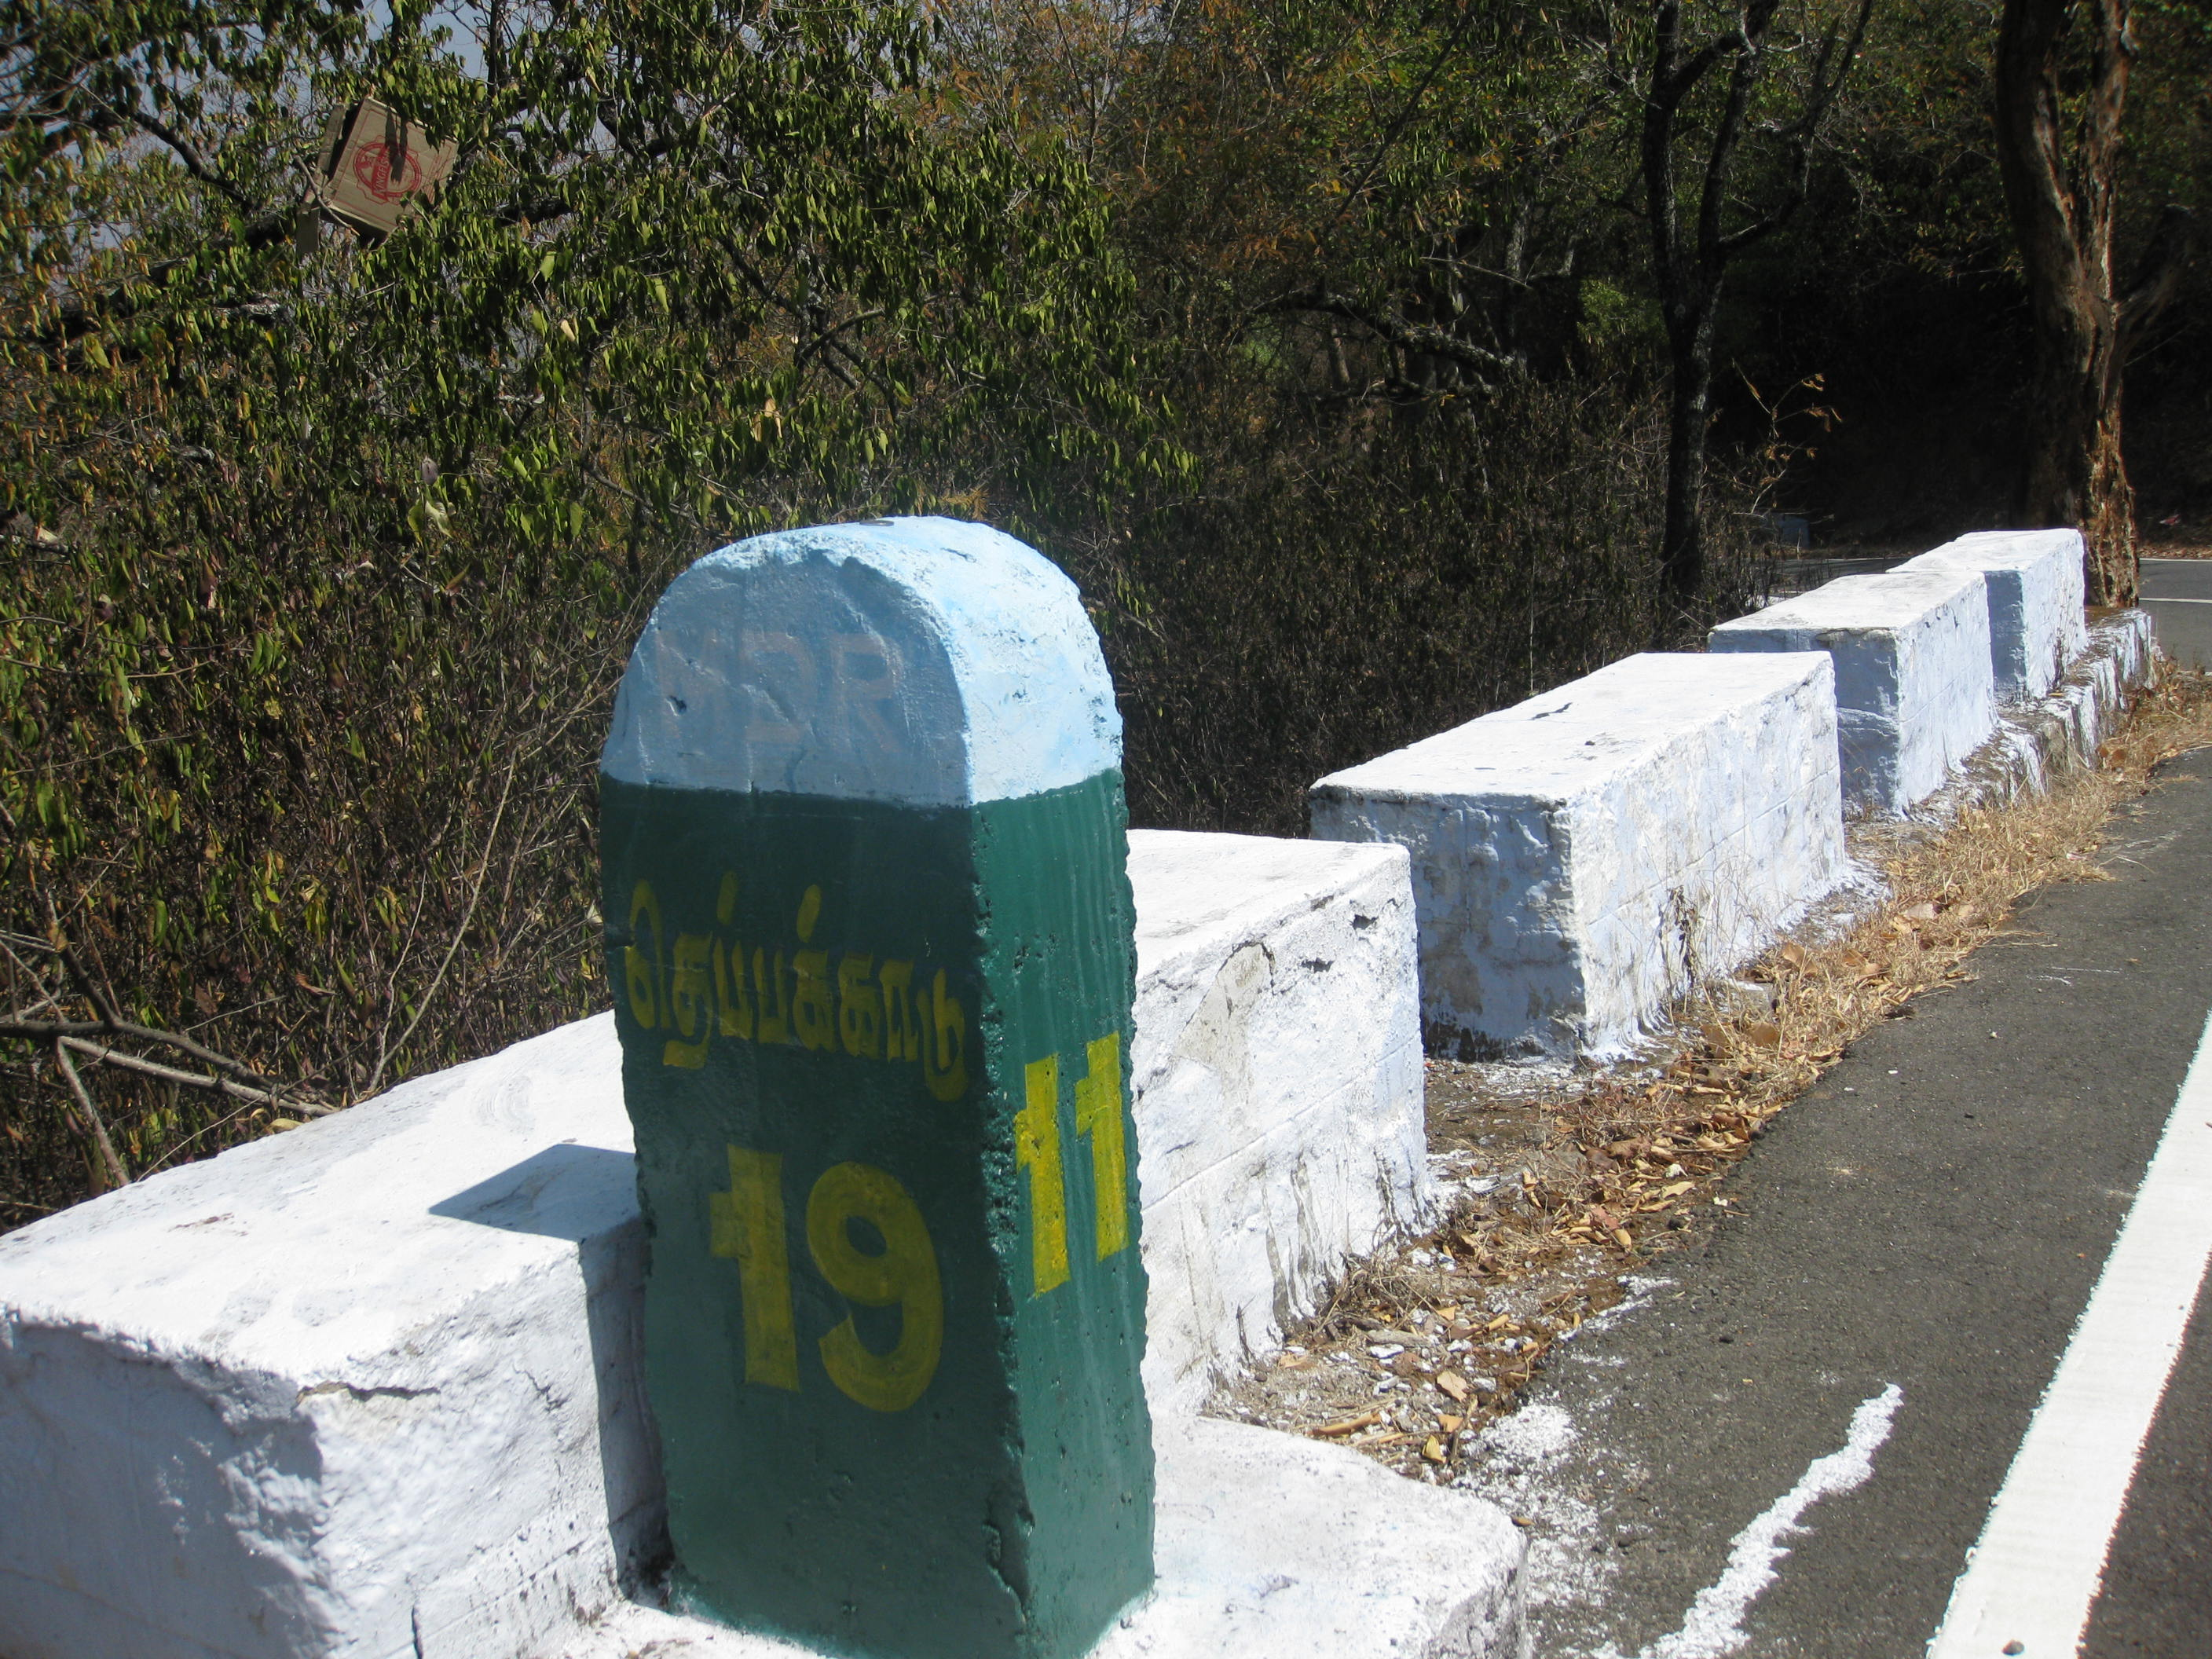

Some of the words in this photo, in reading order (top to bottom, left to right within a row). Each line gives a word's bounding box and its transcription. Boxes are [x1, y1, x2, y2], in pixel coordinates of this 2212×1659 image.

[610, 864, 977, 1111] தெப்பக்காடு
[684, 1118, 968, 1438] 19